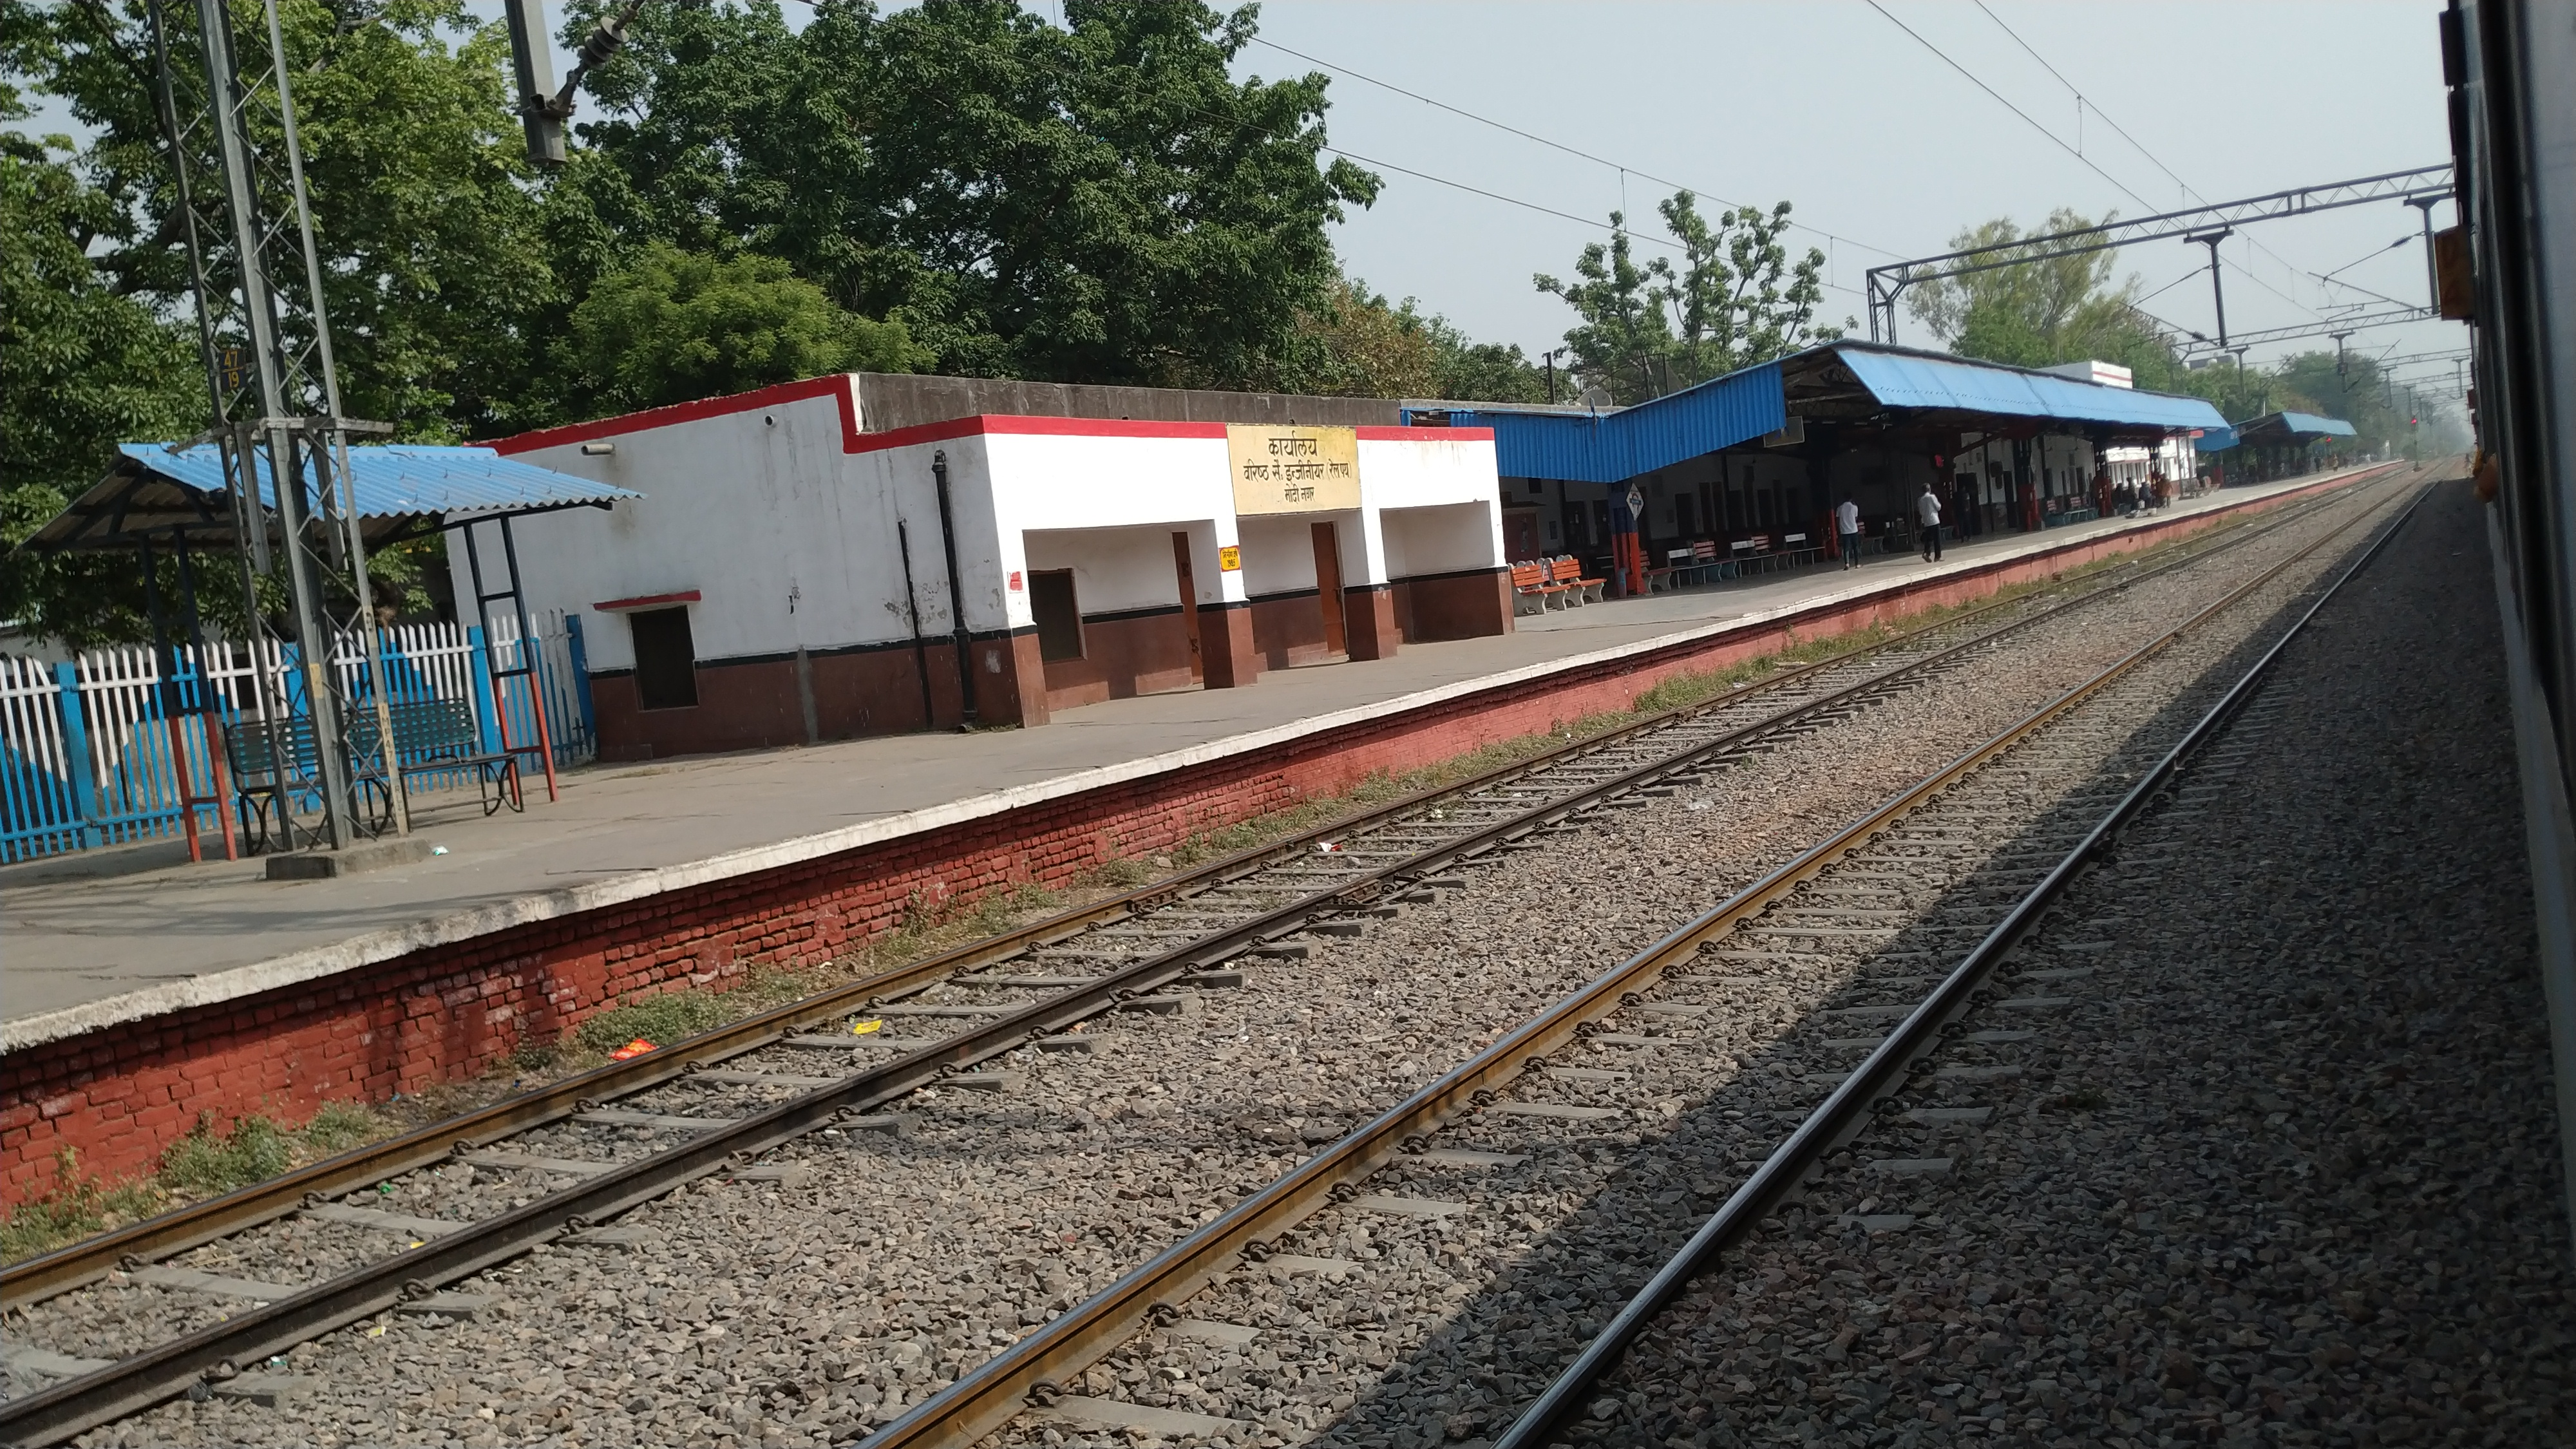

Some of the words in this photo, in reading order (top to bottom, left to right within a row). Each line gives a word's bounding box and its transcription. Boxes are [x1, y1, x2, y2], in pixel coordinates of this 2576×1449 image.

[1268, 427, 1320, 459] कार्यालय
[1241, 455, 1271, 484] वरिष्ठ
[1269, 456, 1285, 483] सै,
[1283, 456, 1328, 486] इन्जीनीयर
[1326, 457, 1341, 482] रेल
[1339, 461, 1353, 480] पथ)
[1283, 477, 1302, 506] मोदी
[1299, 485, 1318, 504] नगर